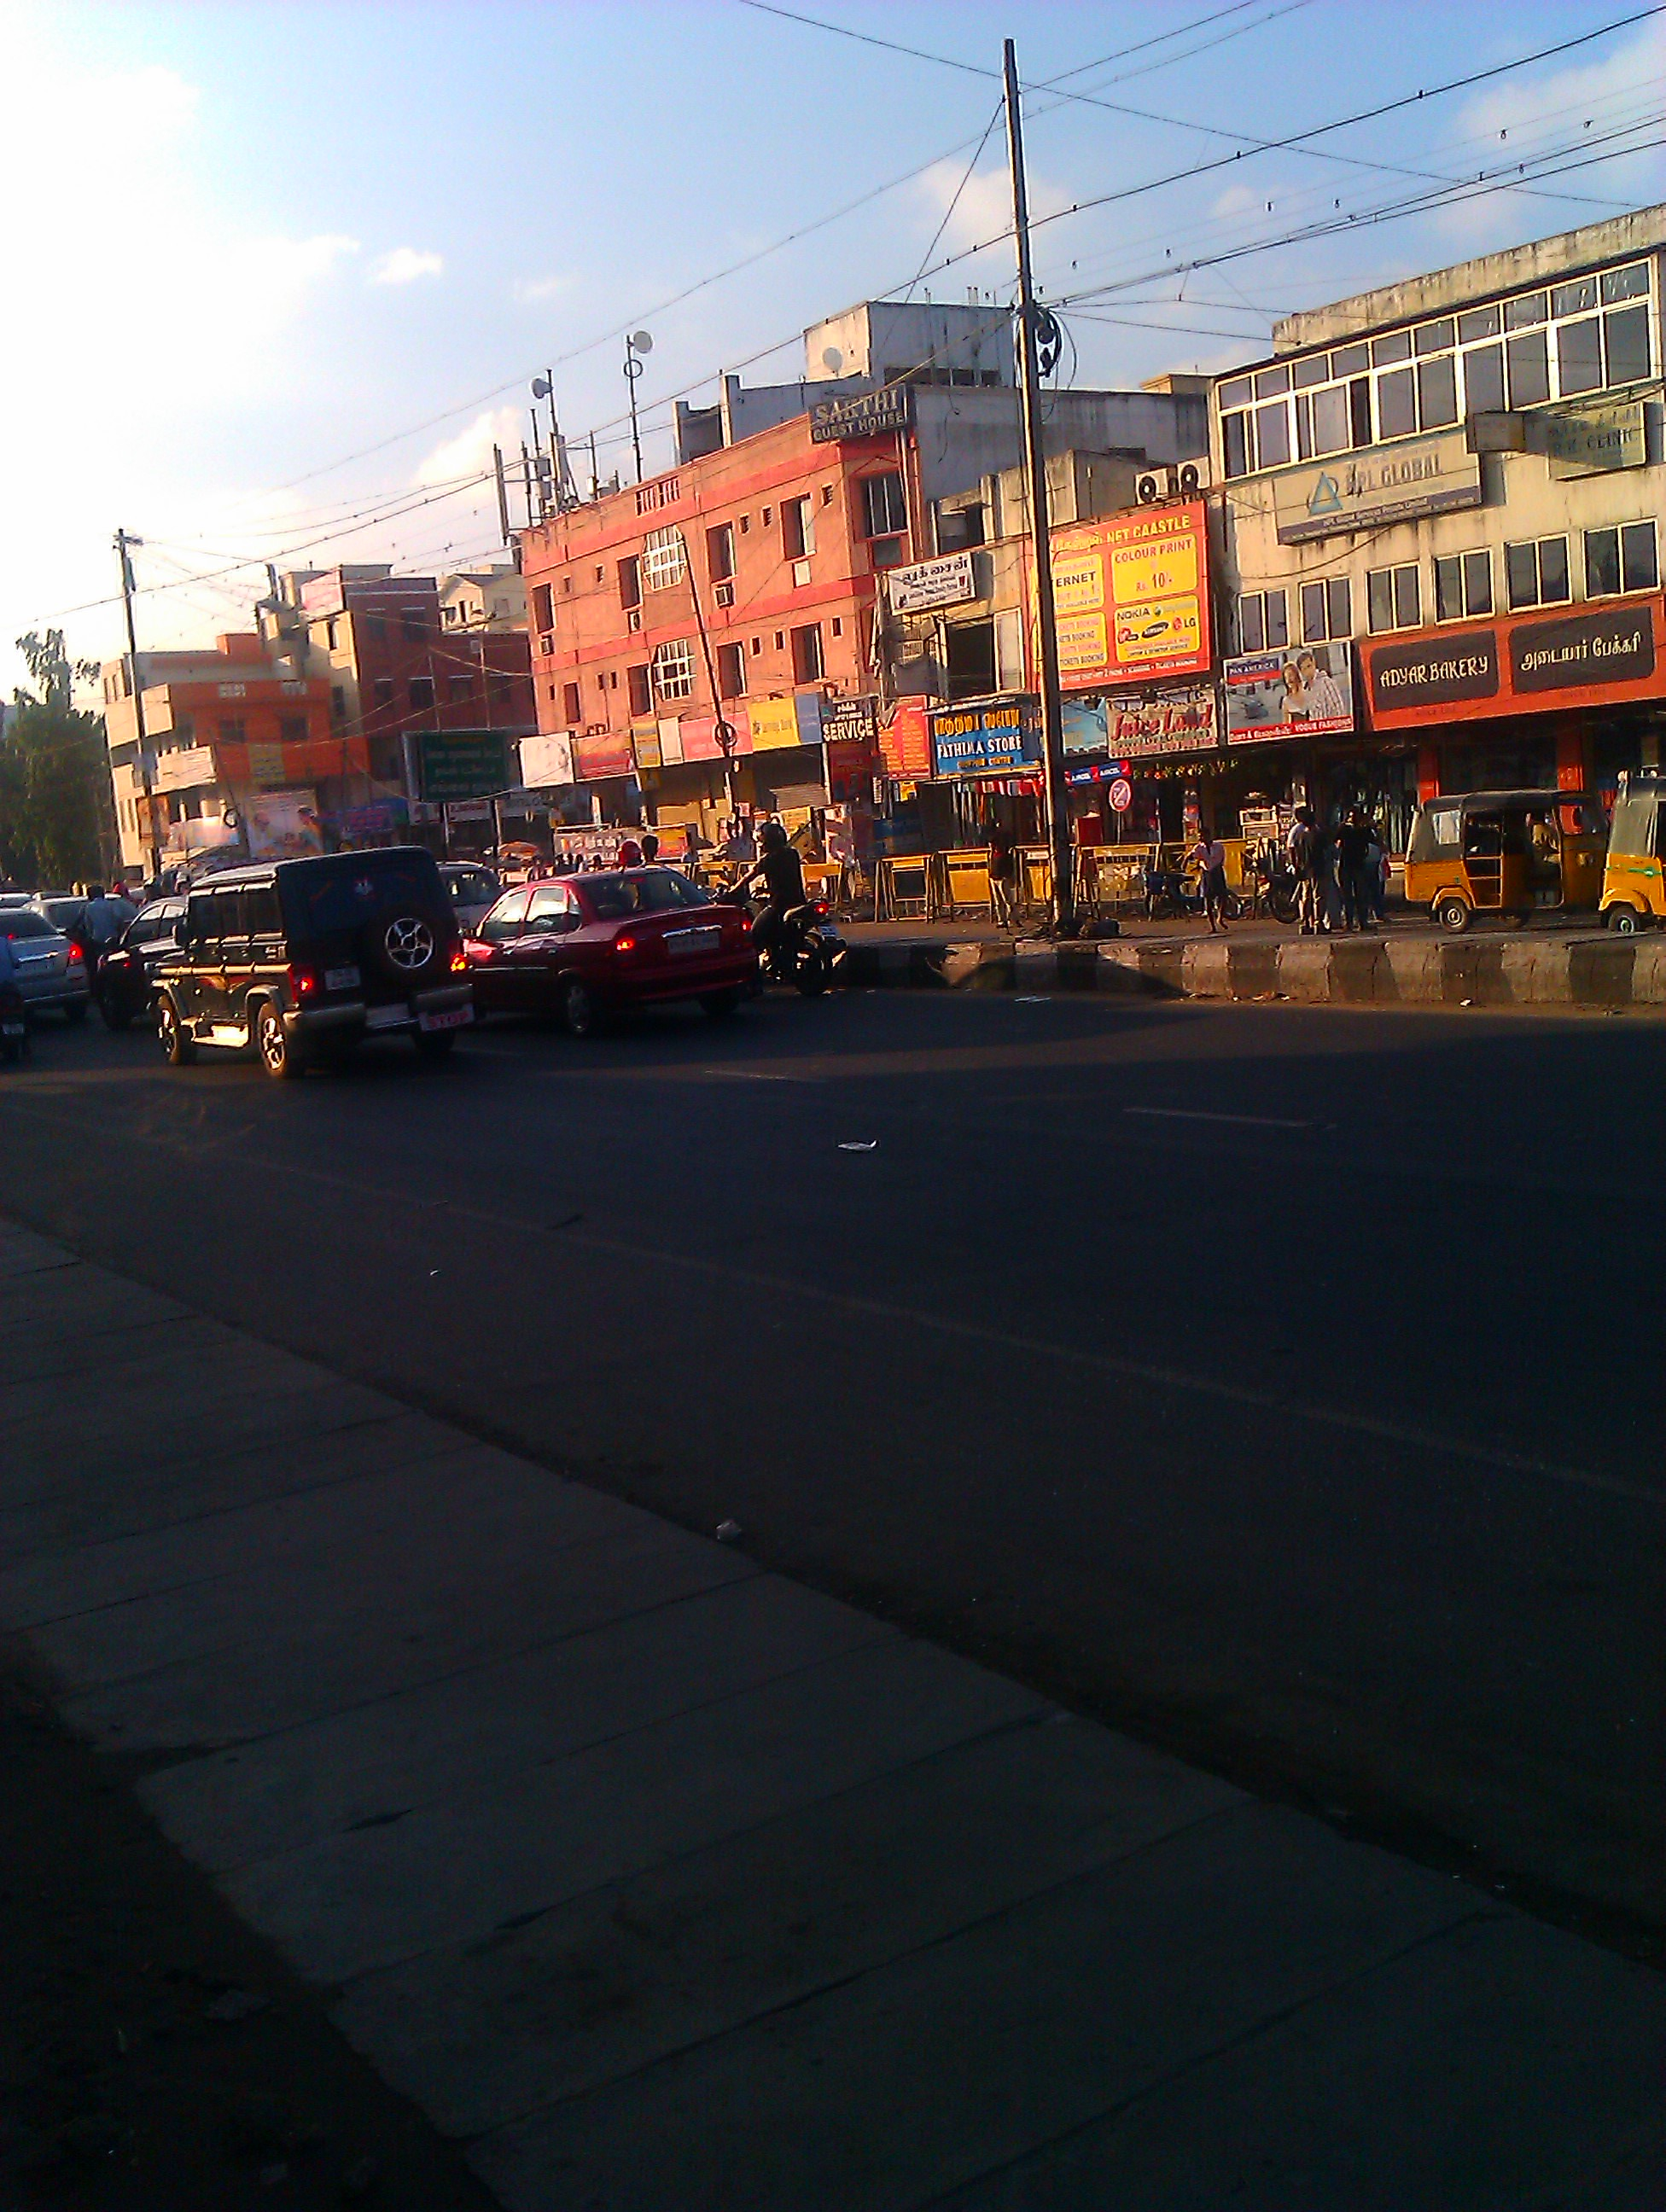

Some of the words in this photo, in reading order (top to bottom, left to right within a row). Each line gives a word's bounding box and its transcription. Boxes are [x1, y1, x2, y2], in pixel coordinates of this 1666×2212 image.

[808, 417, 856, 447] GUEST
[812, 385, 902, 428] SAKTHI
[854, 406, 907, 435] HOUSE
[1104, 523, 1133, 551] NET
[1110, 544, 1160, 568] COLOUR
[1129, 513, 1193, 544] CAASTLE
[1157, 536, 1194, 559] PRINT
[1375, 651, 1492, 691] ADYARBAKERY
[1517, 637, 1593, 678] அடையாா்
[1587, 628, 1641, 661] பேக்காி
[819, 714, 877, 745] SERVICE
[934, 738, 986, 764] FATHINA
[984, 733, 1027, 757] STORE